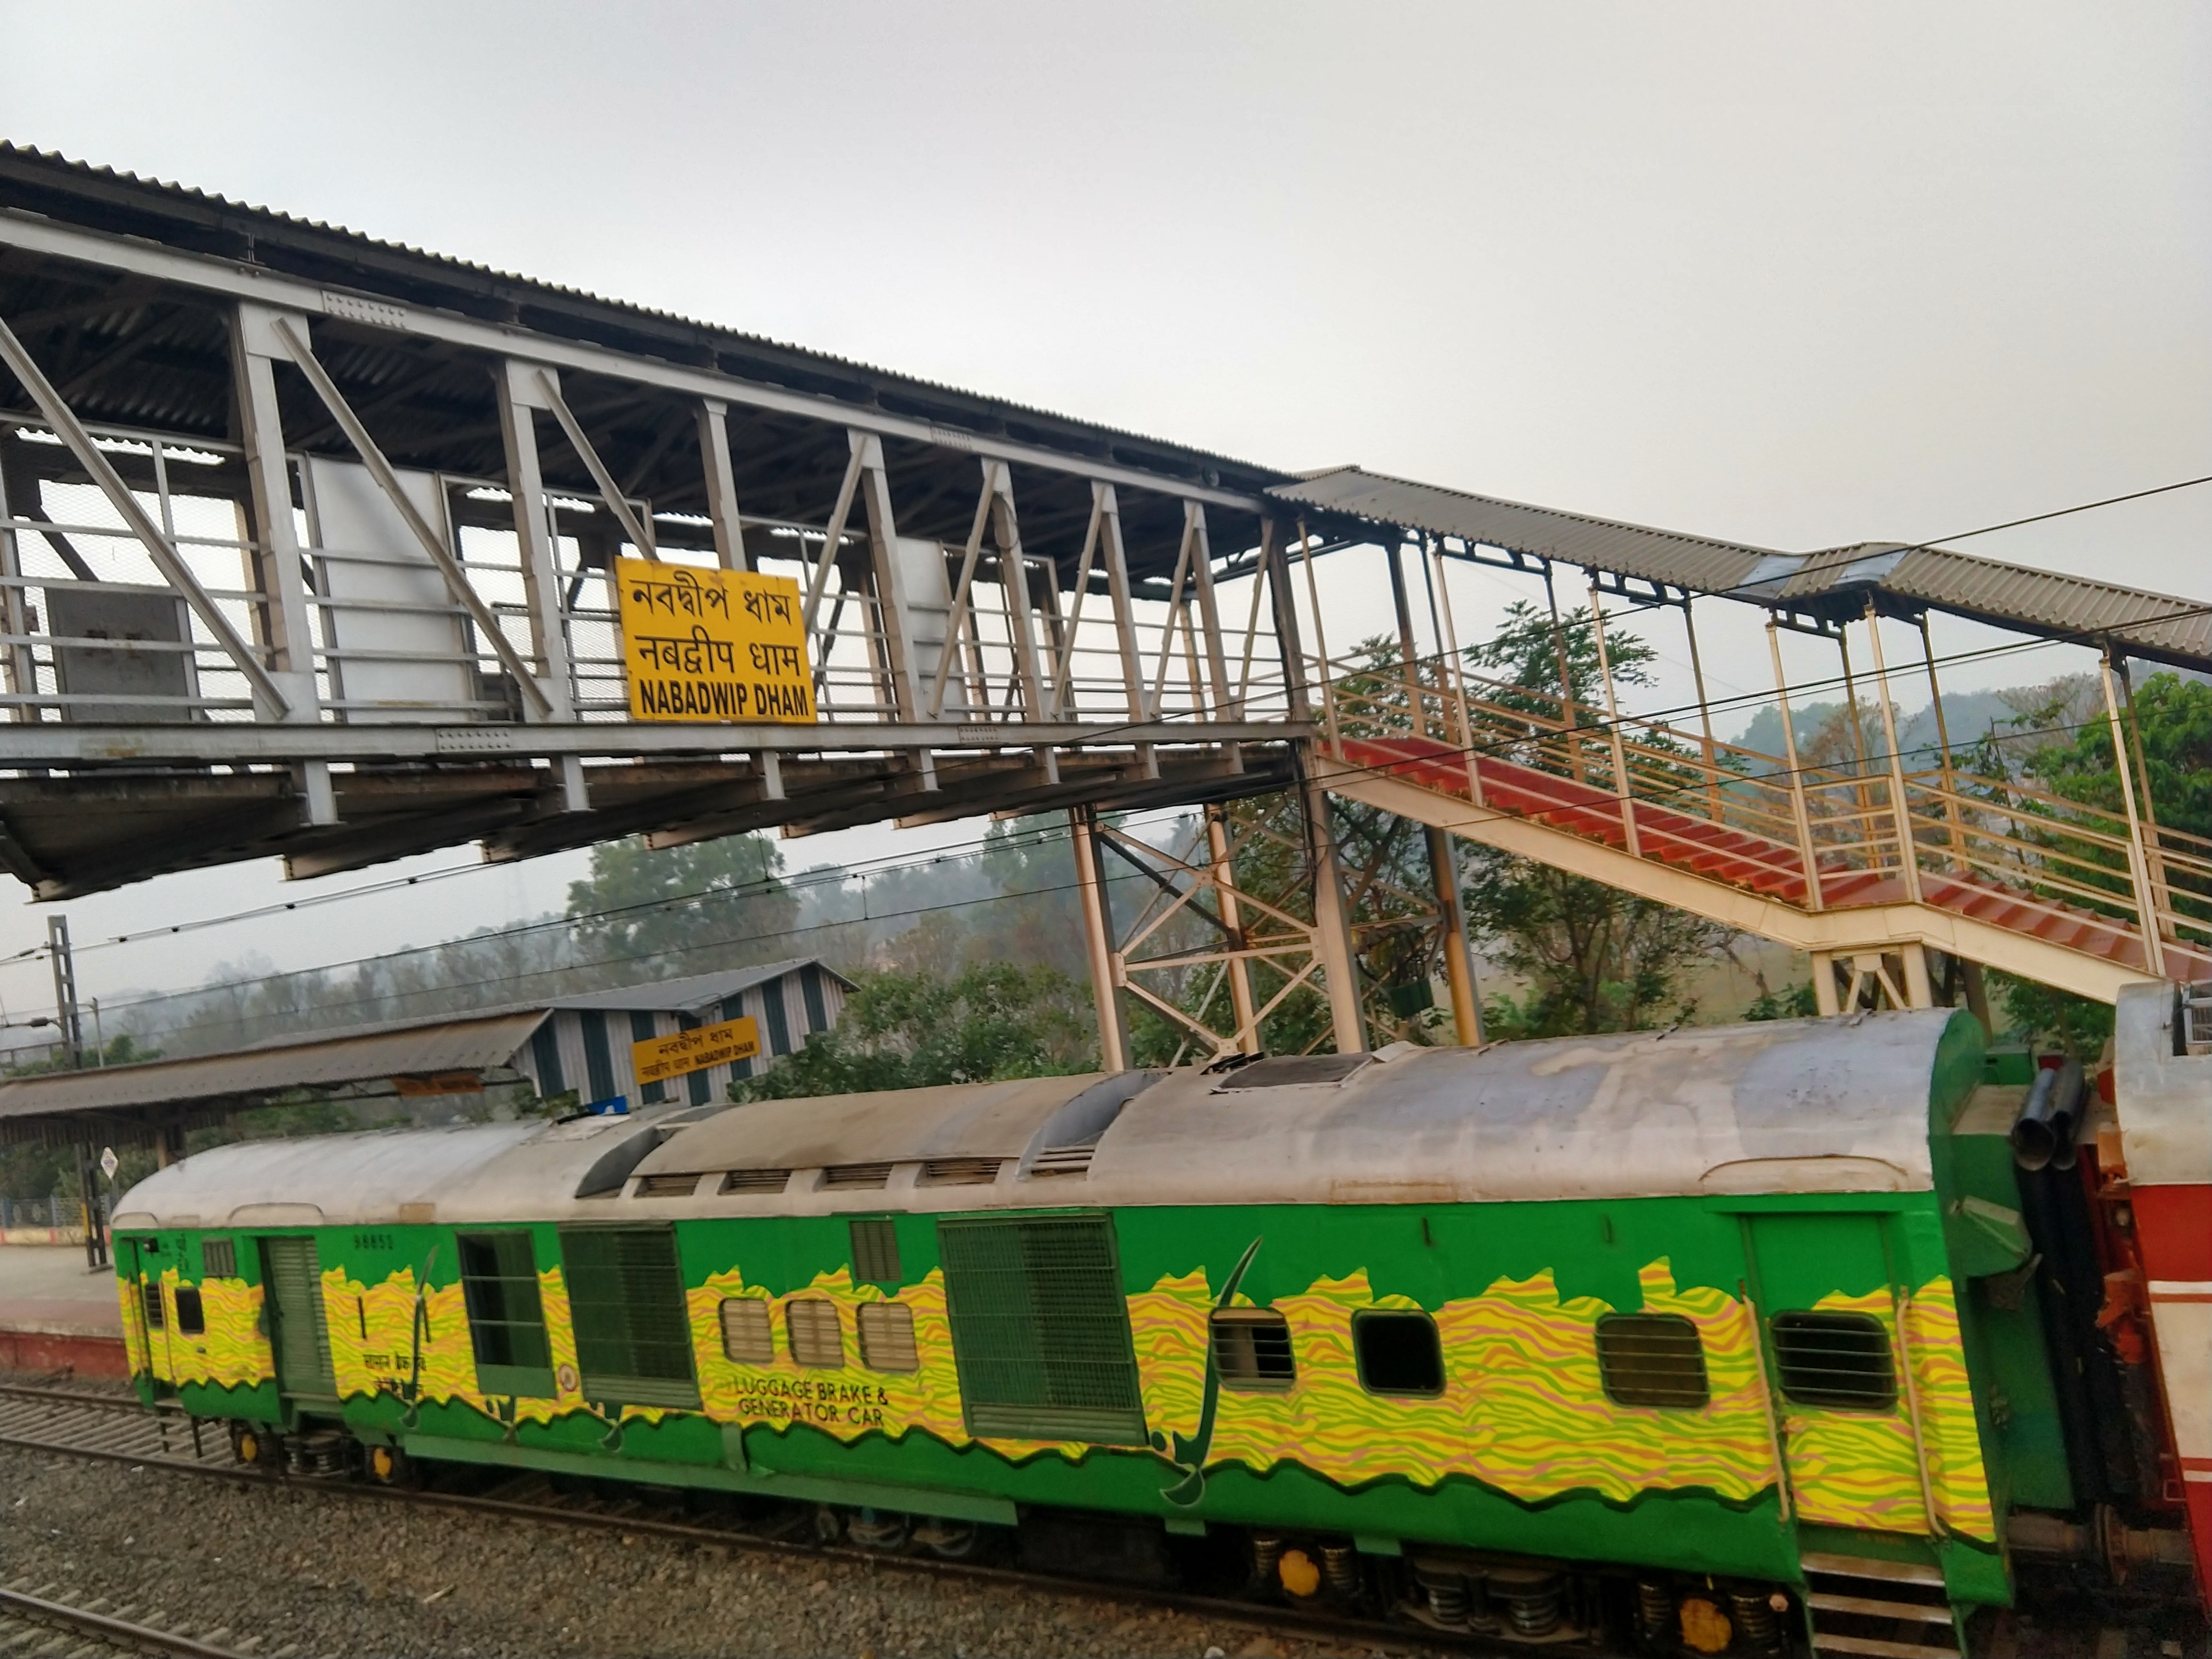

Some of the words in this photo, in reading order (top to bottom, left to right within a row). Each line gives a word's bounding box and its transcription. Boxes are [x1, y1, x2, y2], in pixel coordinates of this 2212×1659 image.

[624, 563, 731, 621] নবদ্বীপ
[738, 582, 800, 627] ধাম
[630, 619, 739, 675] नबद्वीप
[742, 638, 807, 679] धाम
[637, 676, 753, 716] NABADWIP
[752, 681, 811, 719] DHAM
[639, 1051, 675, 1082] নবদ্বীপ
[654, 1027, 708, 1058] নবদ্বীপ
[693, 1043, 735, 1069] NABADWIP
[707, 1025, 737, 1046] ধাম
[730, 1039, 757, 1058] DHAM
[730, 1374, 815, 1402] LUGGAGE
[731, 1391, 842, 1427] GENERATOR
[811, 1376, 873, 1412] BRAKE
[840, 1401, 888, 1429] CAR
[867, 1380, 897, 1407] &